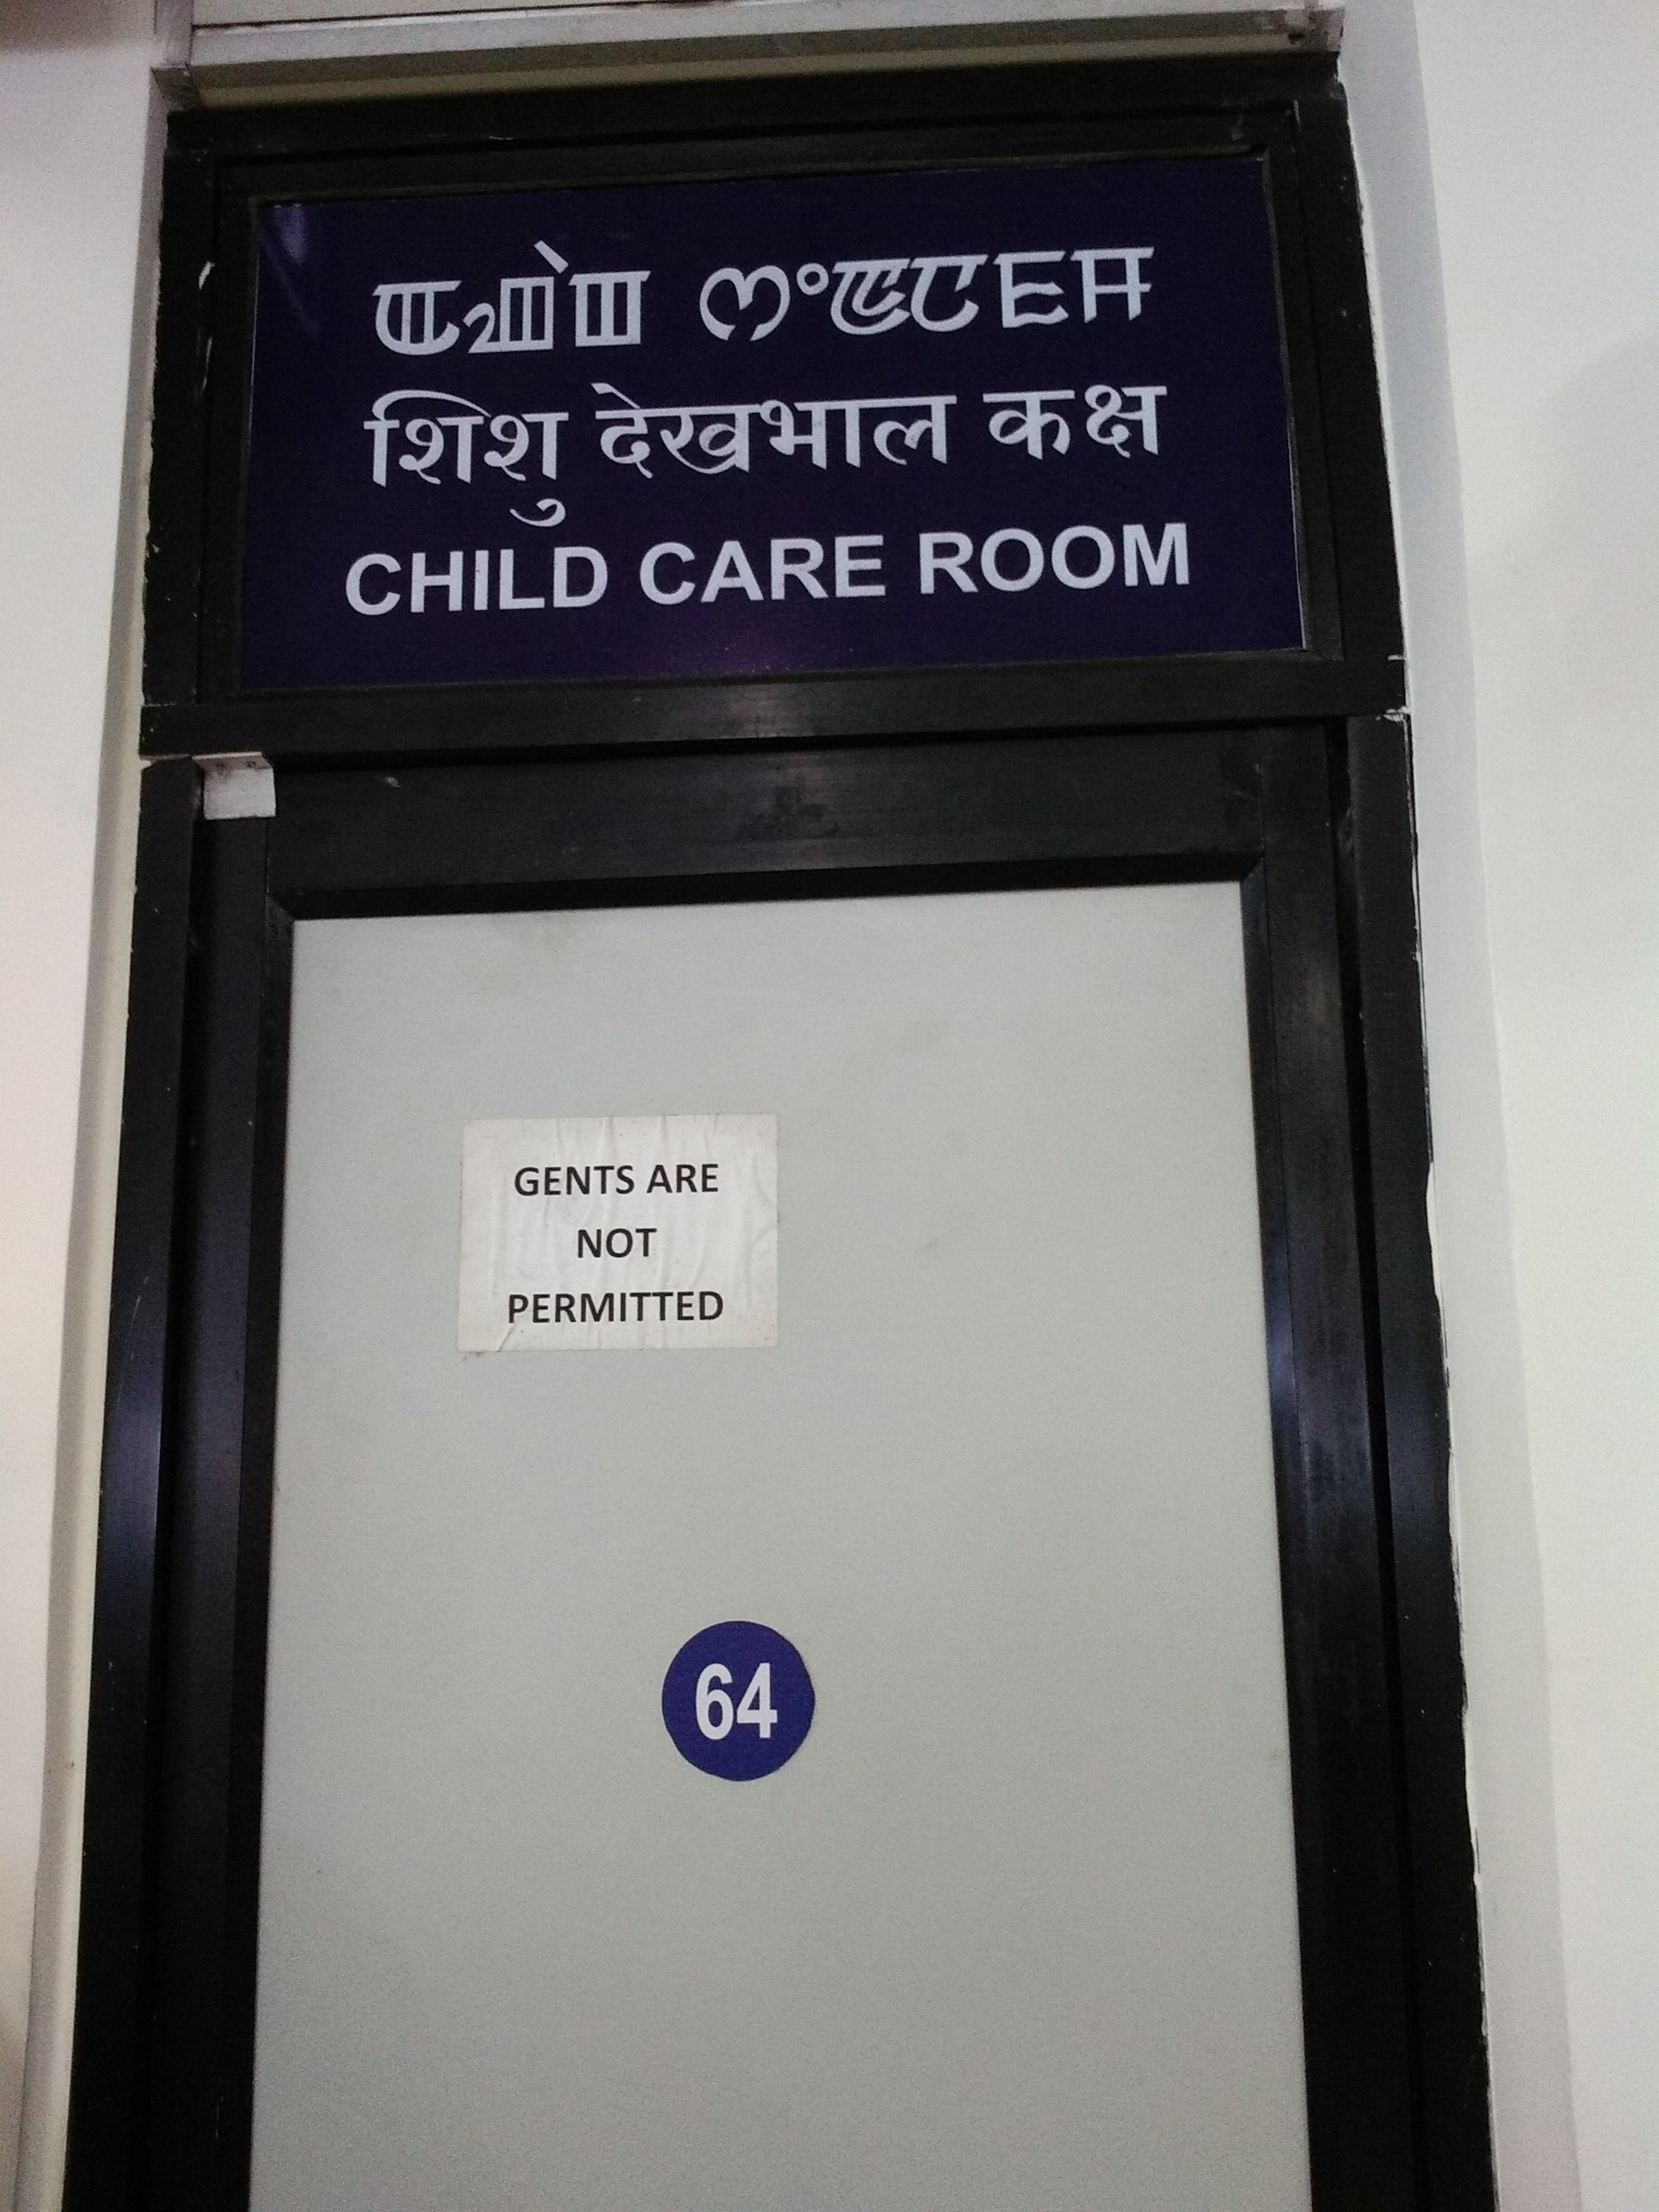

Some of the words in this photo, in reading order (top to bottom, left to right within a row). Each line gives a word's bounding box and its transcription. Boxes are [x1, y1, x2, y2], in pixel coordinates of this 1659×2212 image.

[361, 229, 653, 359] ꯑꯉꯥꯡ
[693, 238, 1160, 348] ꯁꯦꯟꯅꯐꯝ
[352, 377, 574, 533] शिशु
[585, 372, 963, 484] देखभाल
[978, 375, 1173, 463] कक्ष
[340, 540, 611, 622] CHILD
[632, 526, 891, 610] CARE
[909, 516, 1196, 602] ROOM
[504, 1154, 644, 1204] GENTS
[644, 1154, 728, 1200] ARE
[568, 1217, 658, 1268] NOT
[502, 1281, 734, 1332] PERMITTED
[678, 1655, 793, 1748] 64